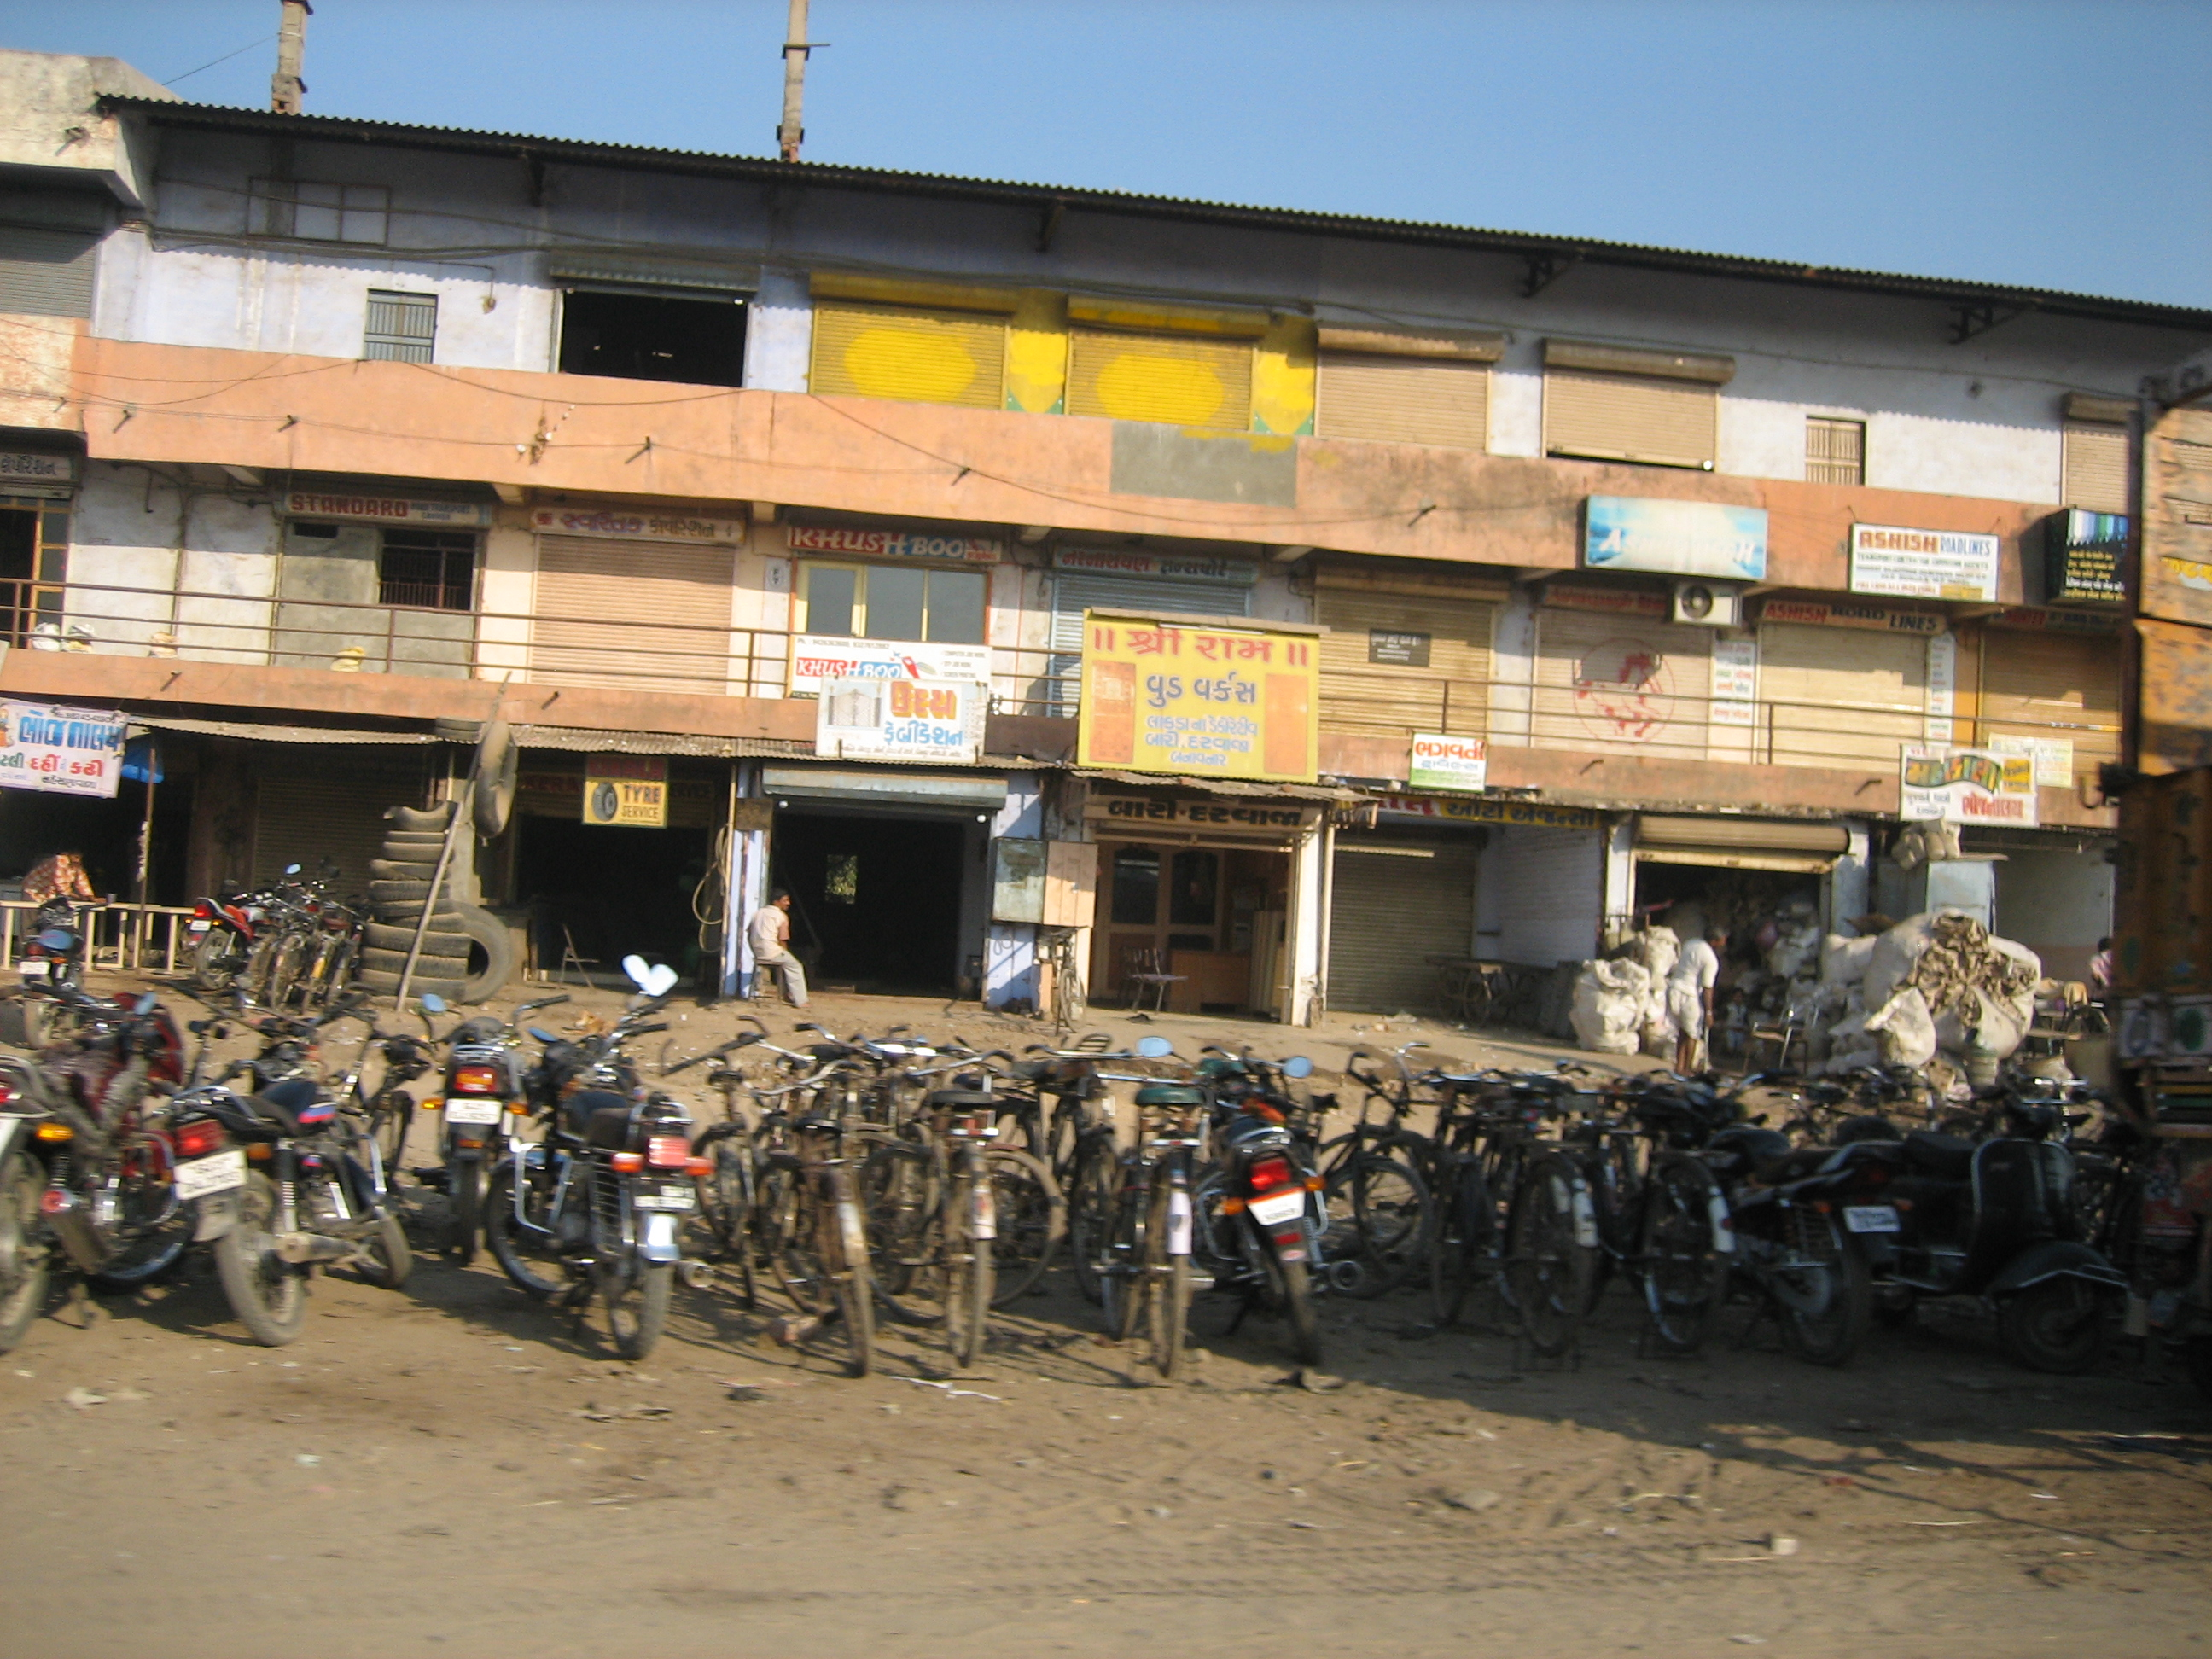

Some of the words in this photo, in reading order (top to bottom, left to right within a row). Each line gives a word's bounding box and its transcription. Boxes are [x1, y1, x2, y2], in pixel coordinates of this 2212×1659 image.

[1858, 527, 1989, 556] ASHISHMADLINE
[1200, 636, 1278, 663] રામ
[1280, 644, 1300, 665] I
[1189, 669, 1260, 706] વર્કસ